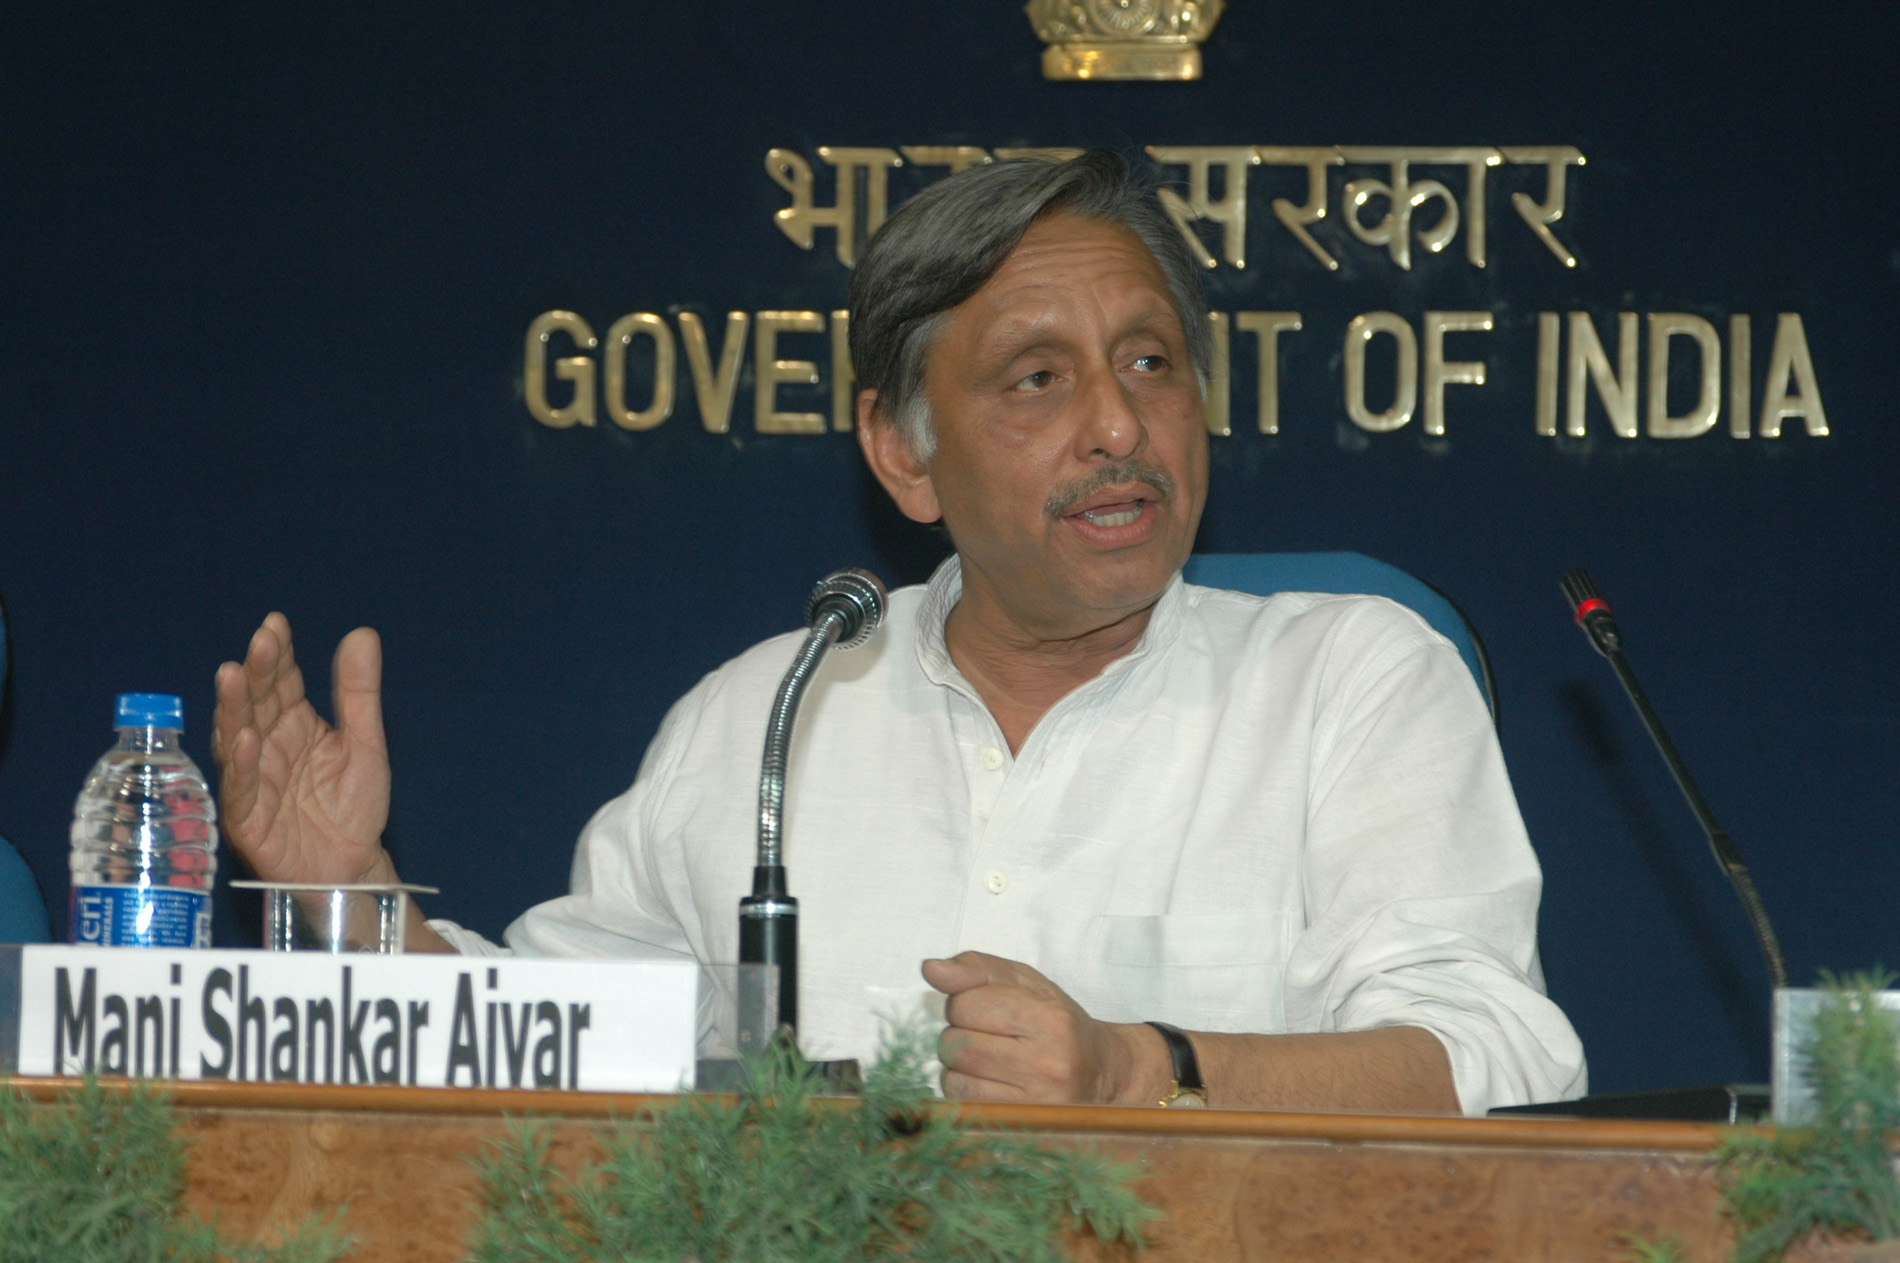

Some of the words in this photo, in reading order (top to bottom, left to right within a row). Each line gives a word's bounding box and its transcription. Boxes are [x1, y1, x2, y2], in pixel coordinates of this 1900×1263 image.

[1143, 142, 1597, 279] सरकार
[509, 293, 850, 443] GOVE
[1203, 300, 1311, 448] IT
[1323, 288, 1512, 460] OF
[1534, 305, 1833, 442] INDIA
[36, 952, 200, 1088] Mani
[188, 954, 431, 1095] Shankar
[436, 959, 601, 1100] Aivar